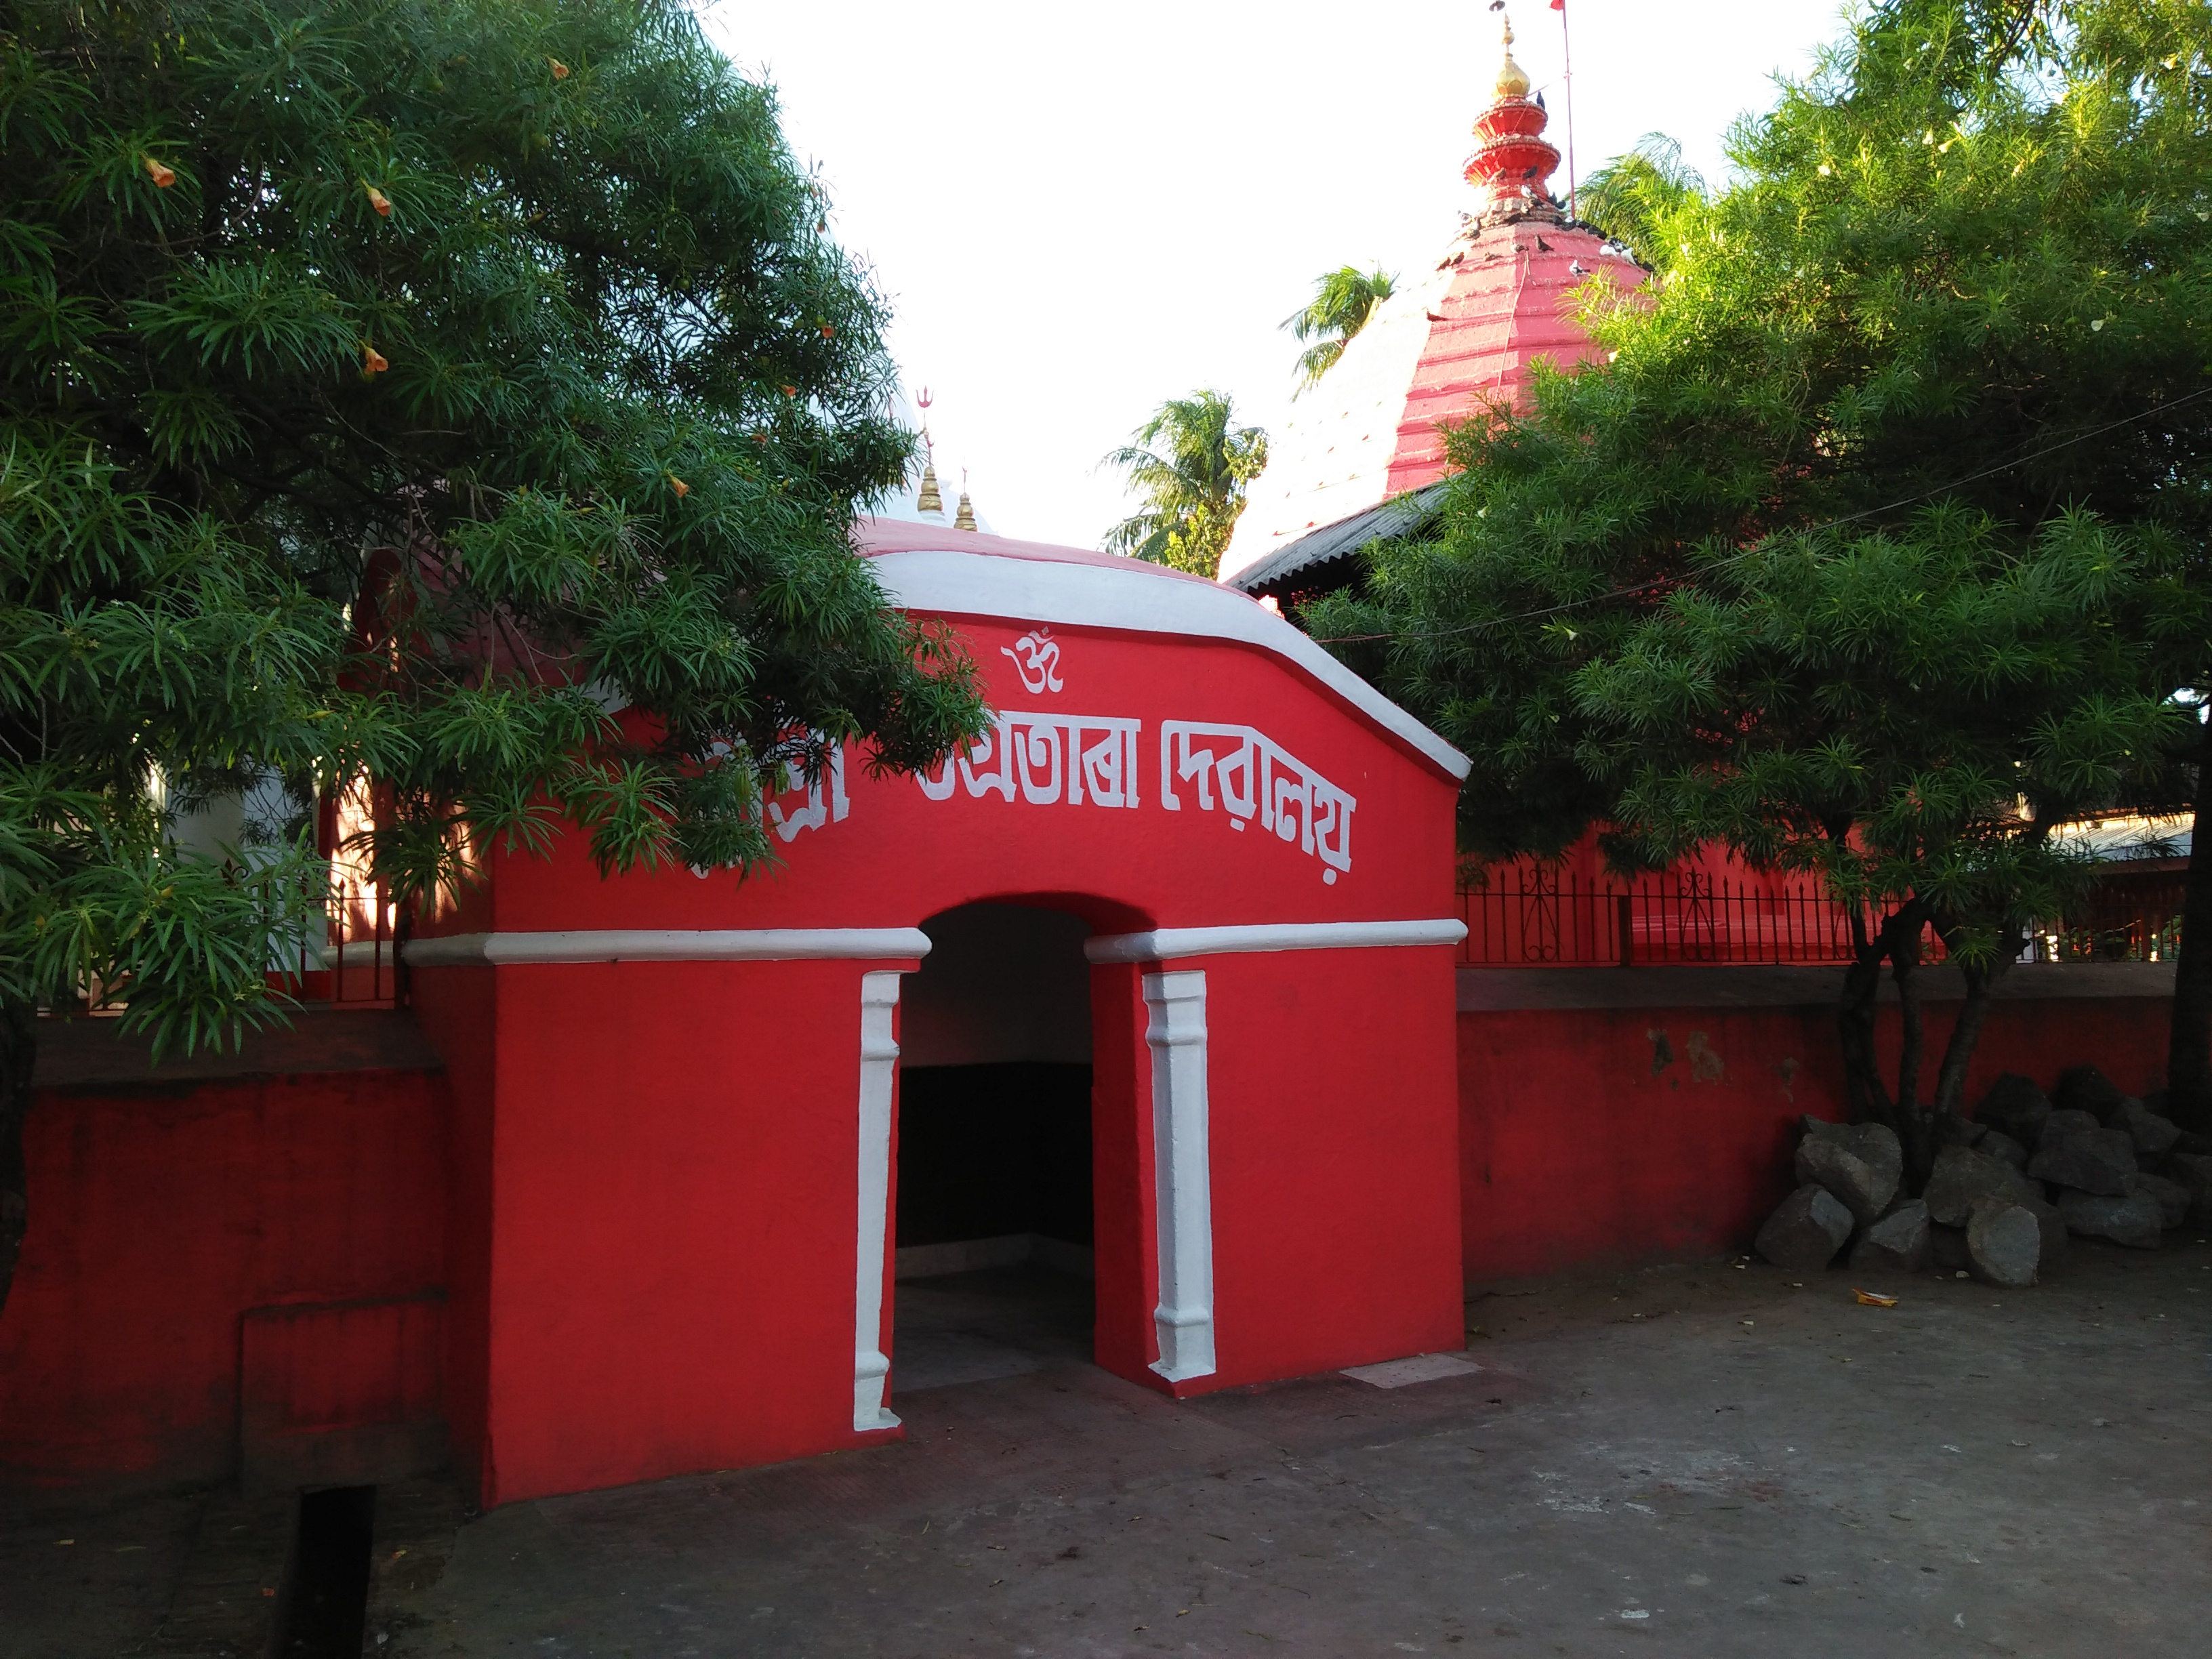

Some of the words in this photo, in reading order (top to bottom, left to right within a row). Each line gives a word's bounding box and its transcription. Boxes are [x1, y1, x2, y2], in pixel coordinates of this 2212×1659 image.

[944, 702, 1149, 815] এতাৰা
[1155, 717, 1363, 891] দেবালয়